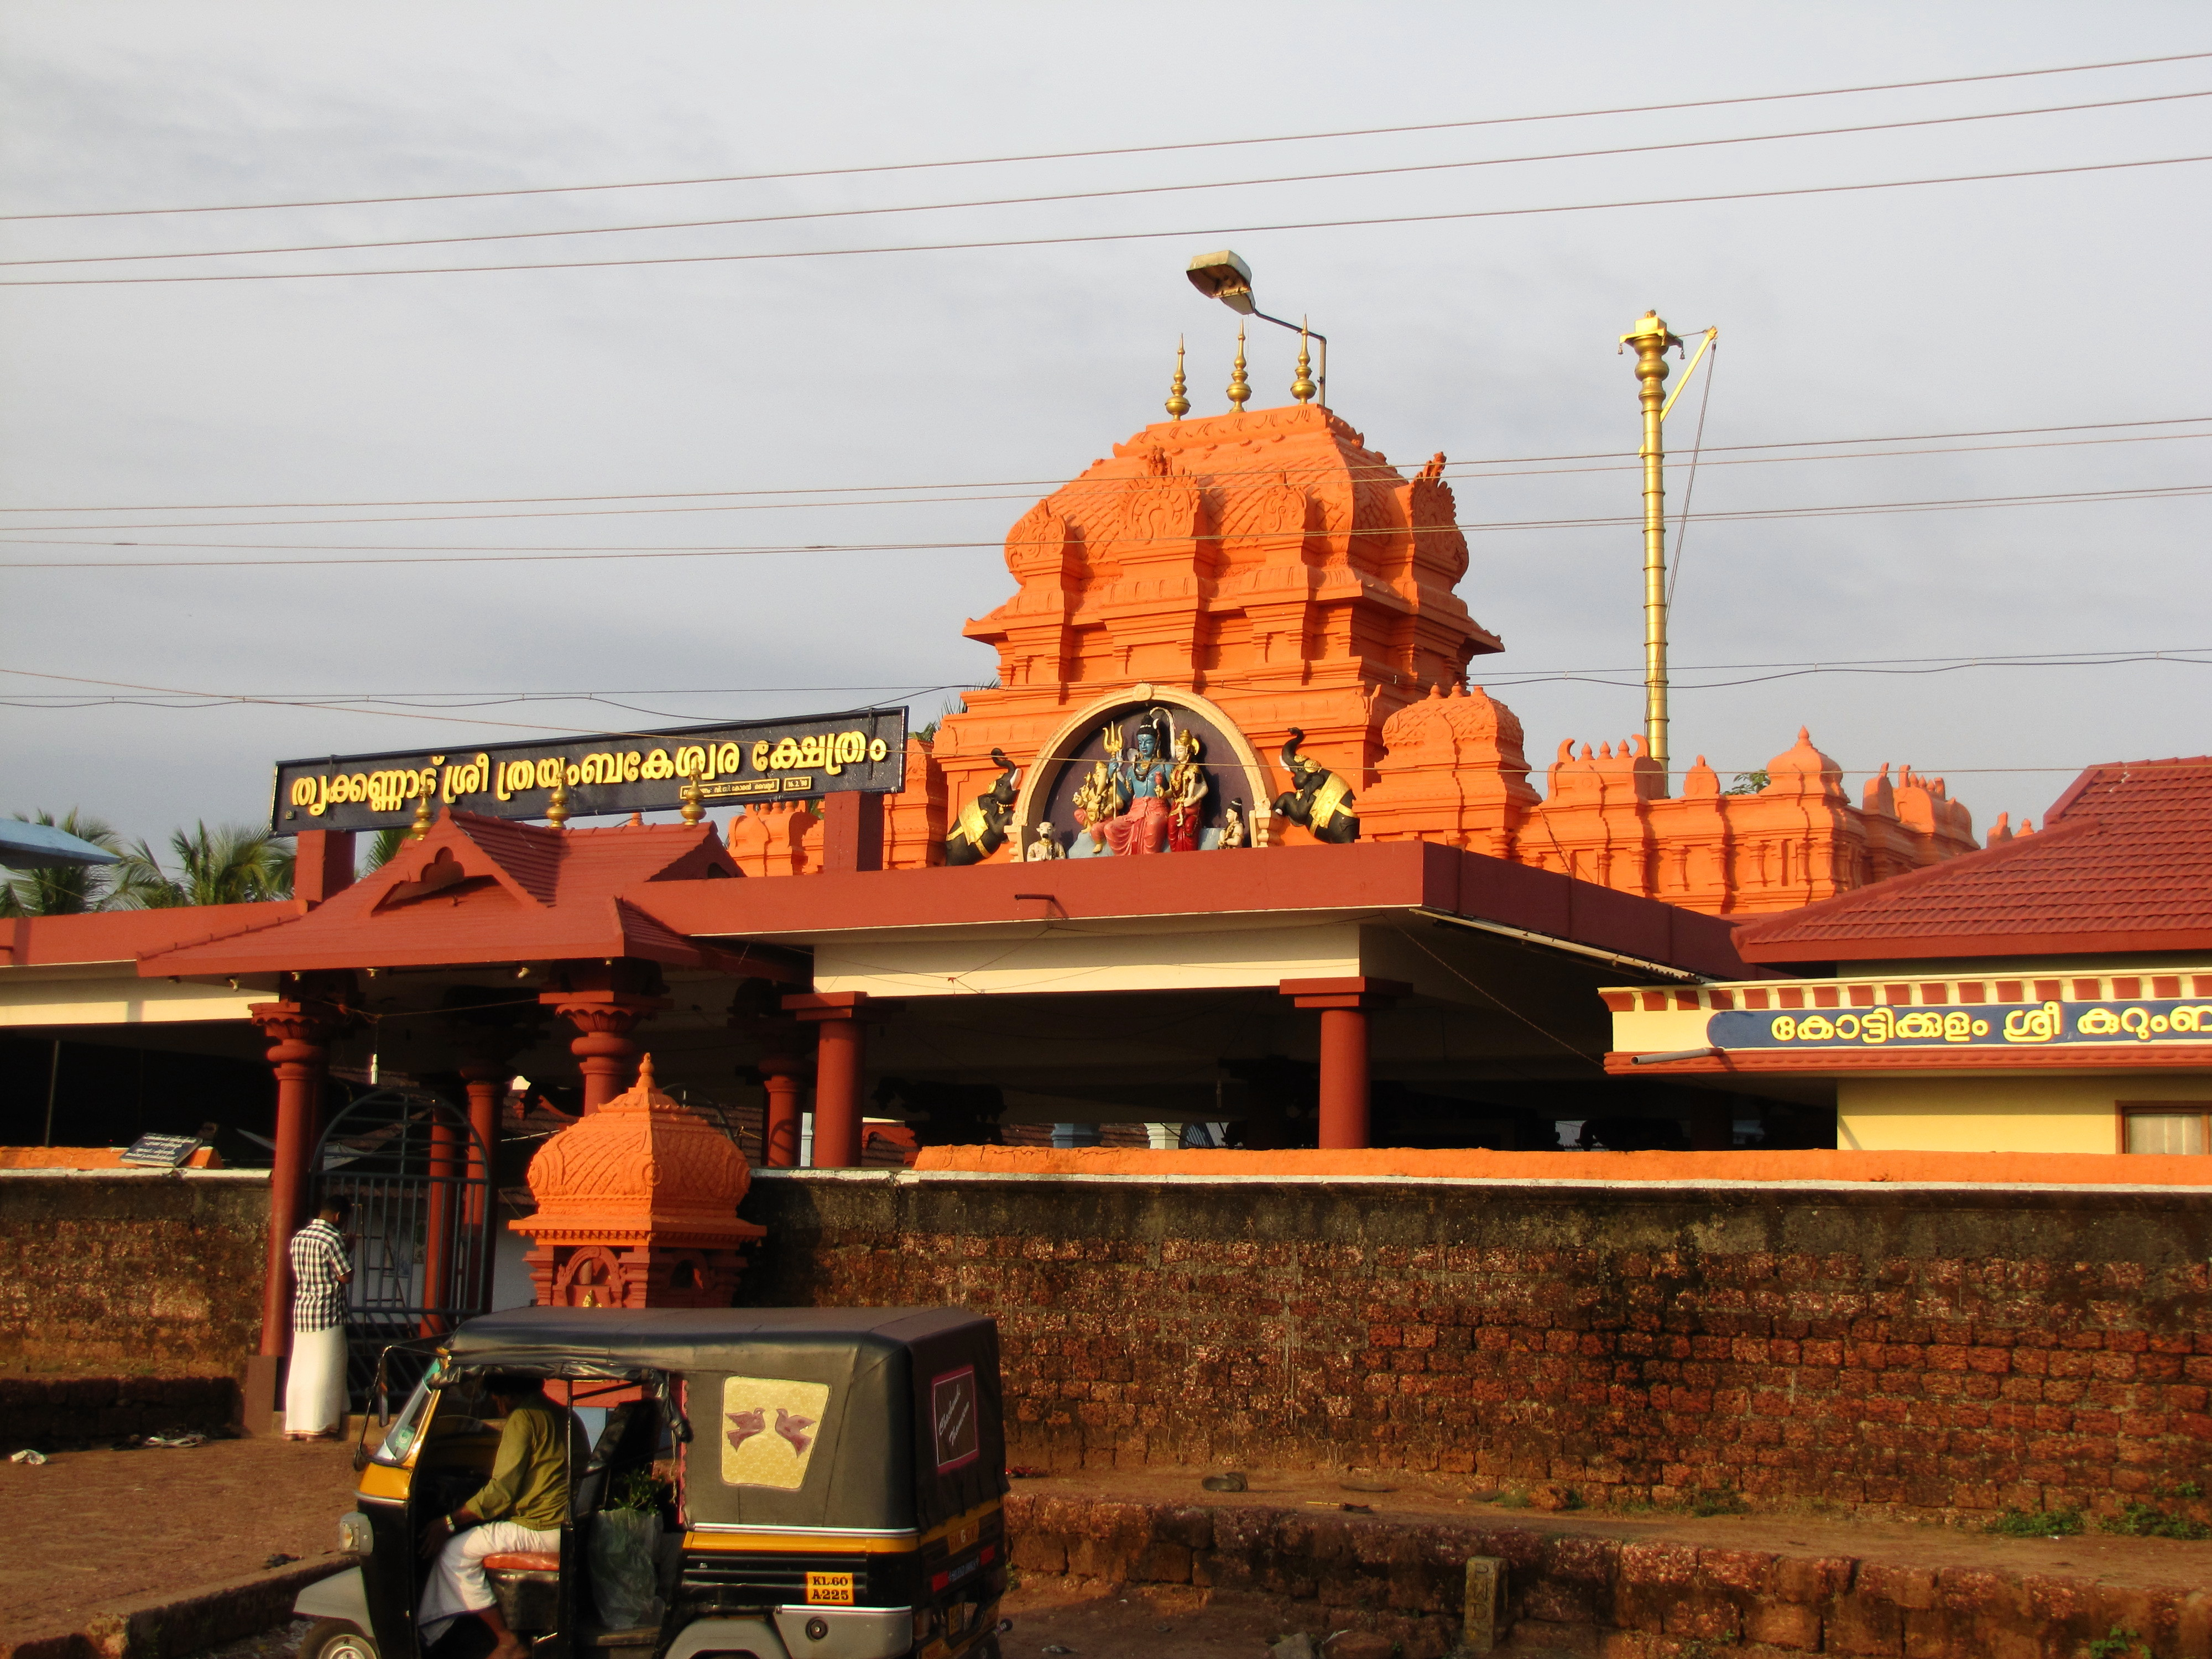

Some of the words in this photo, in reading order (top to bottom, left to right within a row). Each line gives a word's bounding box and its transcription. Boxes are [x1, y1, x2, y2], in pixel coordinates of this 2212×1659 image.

[289, 749, 494, 818] തൃക്കണ്ണാട്ശ്രീ
[491, 739, 745, 804] ത്രയംബകേശ്വര
[711, 780, 754, 795] വിസികോരൻ
[752, 780, 778, 793] വൈദ്യർ
[784, 776, 810, 790] 16.2.98
[747, 727, 889, 778] ക്ഷേത്രം
[1768, 999, 1990, 1045] കോട്ടിക്കുളം
[1998, 996, 2064, 1045] ശ്രീ
[2072, 997, 2209, 1043] കുറുംങ